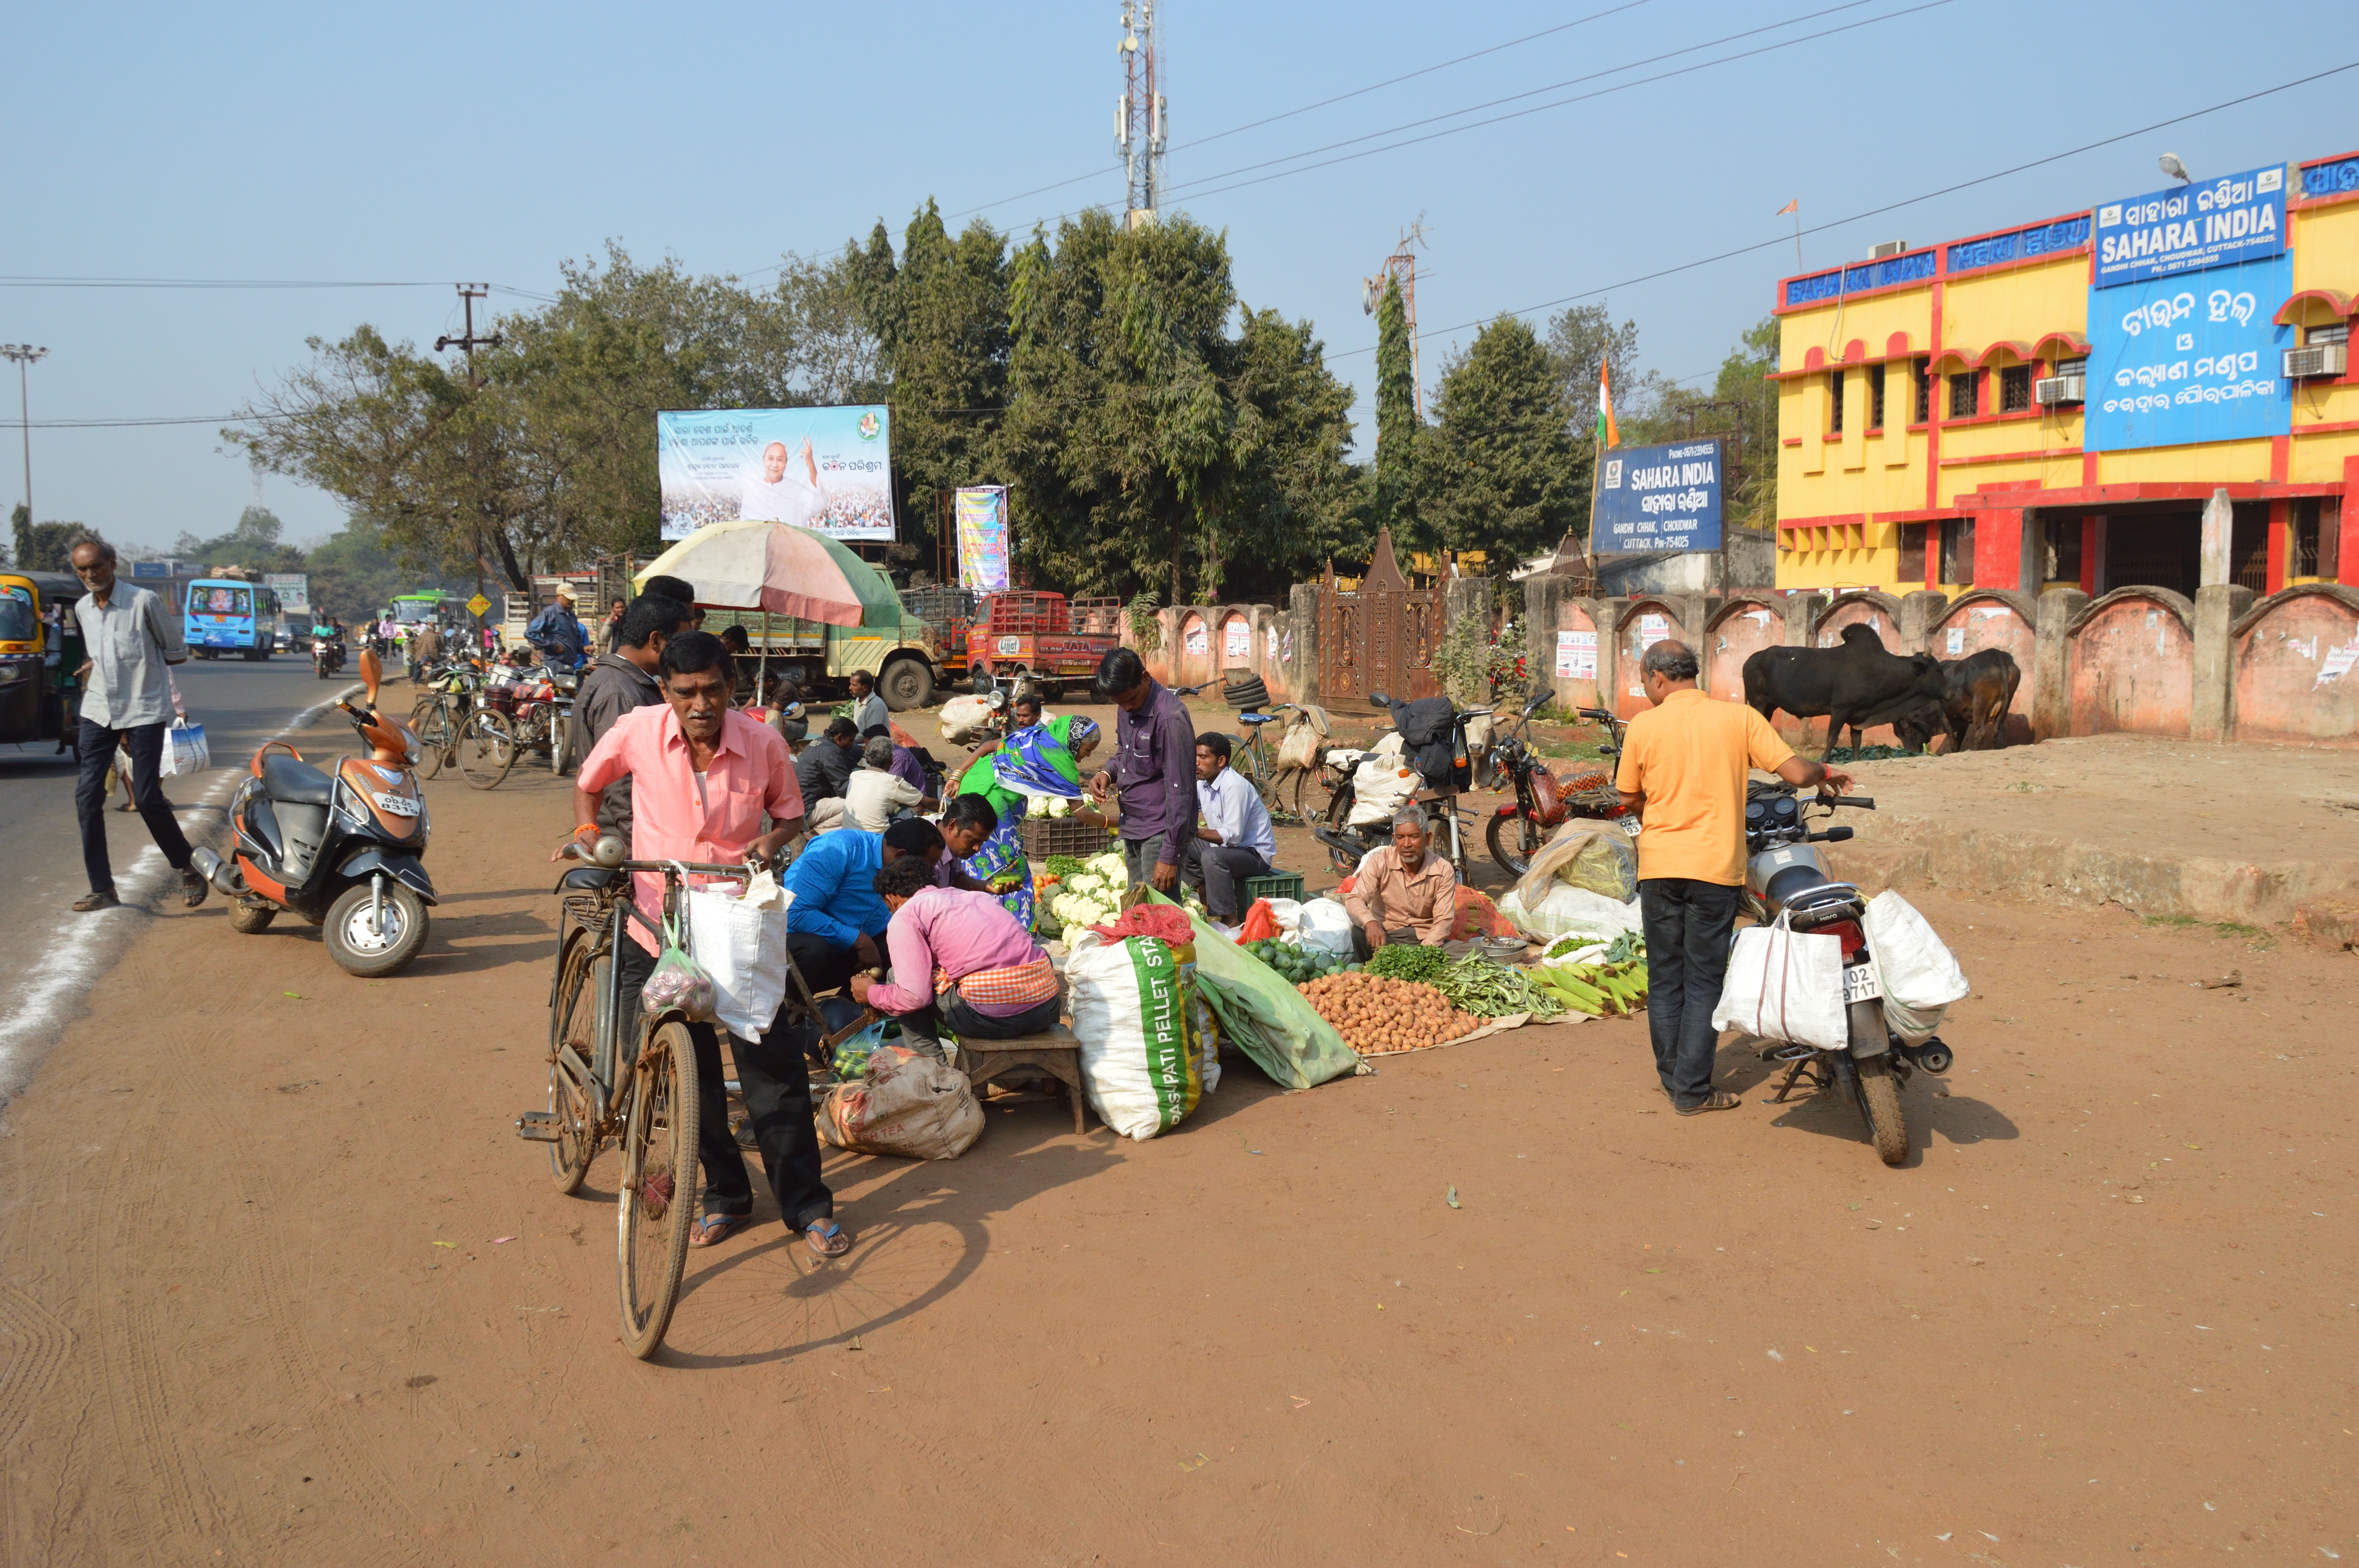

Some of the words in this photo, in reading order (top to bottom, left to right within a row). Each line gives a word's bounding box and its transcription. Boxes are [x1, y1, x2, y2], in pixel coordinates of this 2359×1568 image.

[2194, 174, 2256, 216] ଇଣ୍ଡିଆ
[2110, 192, 2188, 226] ସାହାରା
[2204, 200, 2278, 245] INDIA
[1878, 251, 1940, 286] INDIA
[1954, 232, 2017, 272] सहारा
[2022, 215, 2094, 258] इंडिया
[2099, 260, 2130, 275] GANDHI
[2127, 256, 2159, 271] CHHAK,
[2101, 217, 2200, 268] SAHARA
[2155, 245, 2205, 266] CHOUDWAR
[2149, 251, 2222, 276] PH::06712394555
[2205, 233, 2277, 255] CUTTACK-754025,
[1787, 265, 1873, 305] SAHARA
[2118, 287, 2199, 340] ଟାଉନ
[2202, 287, 2260, 329] ହଲ
[2112, 358, 2190, 391] କଲ୍ଯାଣ
[2192, 349, 2260, 383] ମଣ୍ତପ
[2102, 392, 2172, 414] ଚଉଦ୍ବାର
[2173, 377, 2276, 409] ପୌରପାଳିକା
[692, 422, 714, 436] ଦେଣ
[730, 422, 756, 436] ଆଦର୍ଶ
[689, 436, 720, 449] ଆପଣଙ୍କ
[1668, 442, 1715, 462] PHONE-0671-2394555
[821, 457, 847, 474] କଠିନ
[846, 457, 884, 475] ପରିଣ୍ରମ
[1628, 462, 1681, 492] SAHARA
[1681, 460, 1716, 488] INDIA
[1640, 491, 1678, 516] ସାହାରା
[1676, 485, 1710, 515] ଇଣ୍ଡିଆ
[1612, 521, 1636, 536] GANDHI
[1635, 519, 1657, 535] CHHAK,
[1662, 515, 1699, 532] CHOUDWAR
[1622, 536, 1653, 550] CUTTACK,
[1653, 534, 1691, 550] PIN-754025